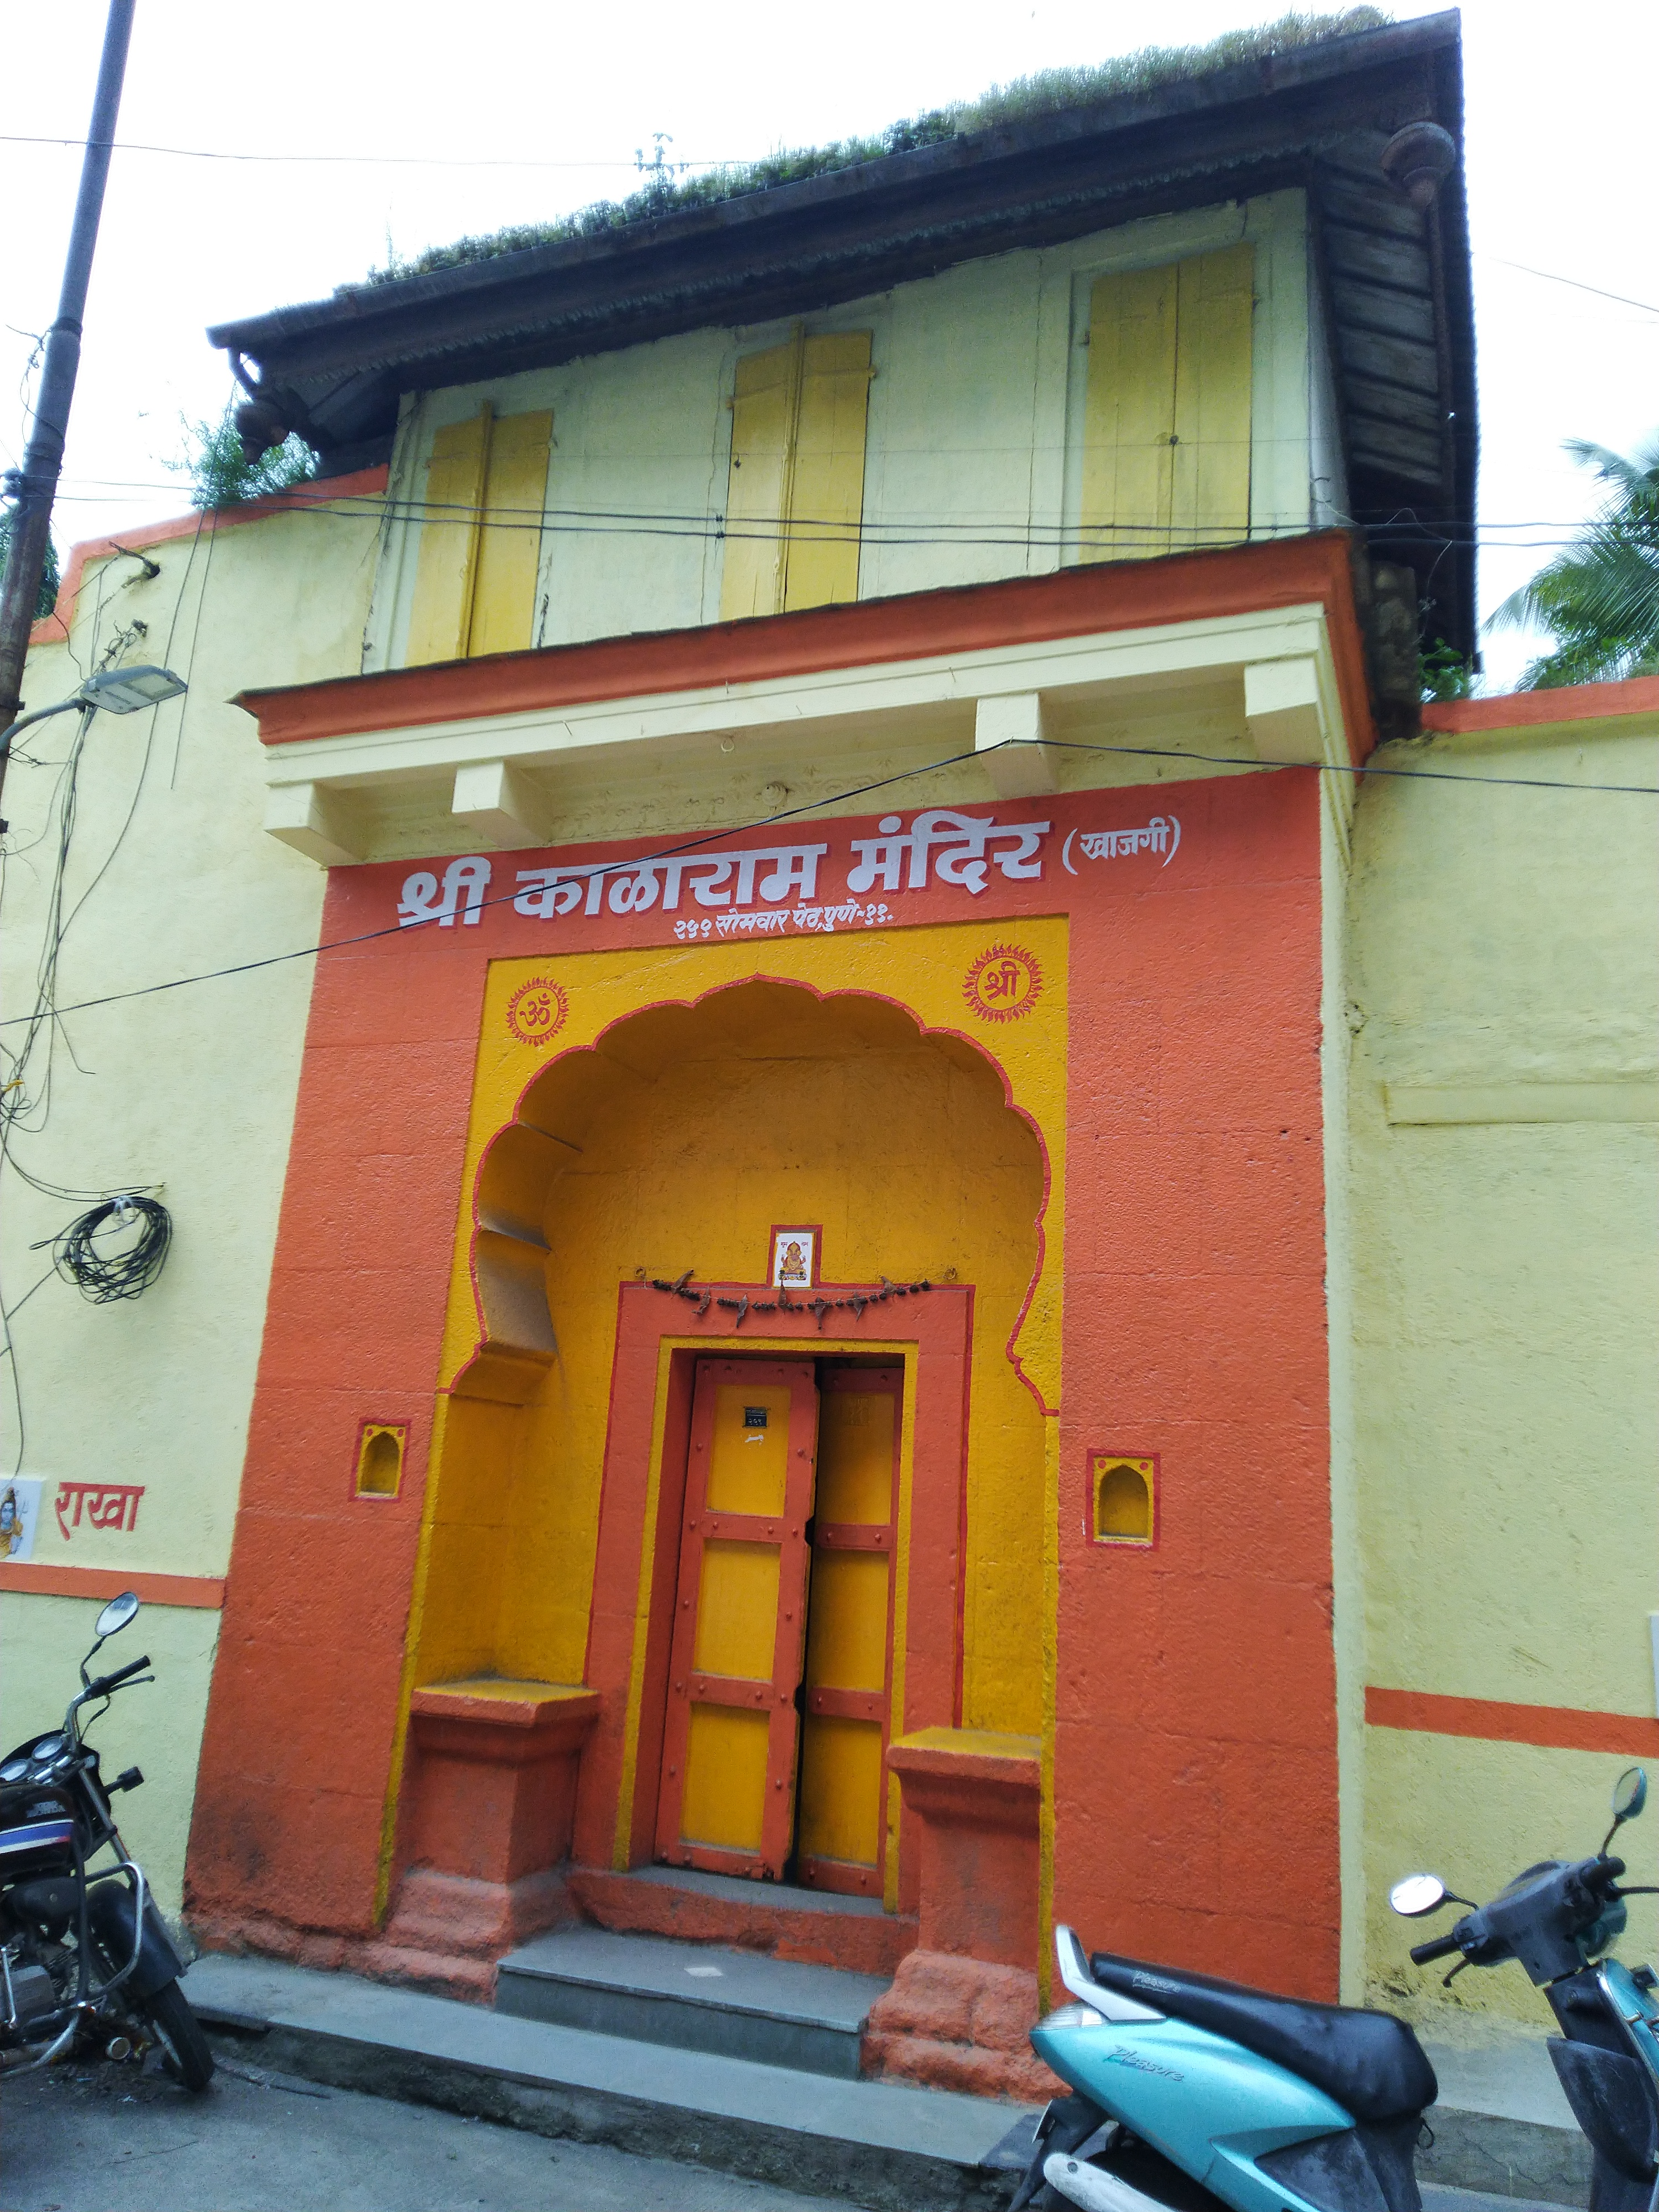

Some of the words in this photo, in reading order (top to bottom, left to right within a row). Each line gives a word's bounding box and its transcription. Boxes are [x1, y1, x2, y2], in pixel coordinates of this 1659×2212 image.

[832, 798, 1069, 900] मंदिर
[1052, 801, 1194, 884] (खाजगी)
[379, 854, 500, 939] श्री
[502, 839, 835, 930] काळाराम
[669, 917, 714, 944] २५९
[713, 905, 792, 937] सोमवार
[791, 900, 825, 933] पेठ,
[821, 897, 899, 932] पुणे-१९.
[979, 957, 1026, 1006] श्री
[516, 989, 557, 1034] ॐ
[44, 1469, 157, 1544] राखा